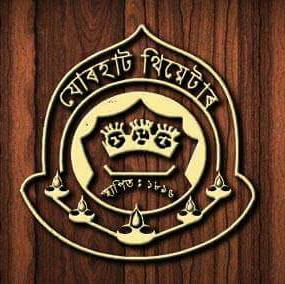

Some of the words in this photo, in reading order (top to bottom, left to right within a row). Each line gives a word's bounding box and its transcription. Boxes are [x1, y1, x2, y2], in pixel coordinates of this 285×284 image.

[49, 39, 139, 118] যোৰহাট
[133, 41, 225, 114] থিয়েটাৰ
[93, 171, 140, 207] স্থাপিত